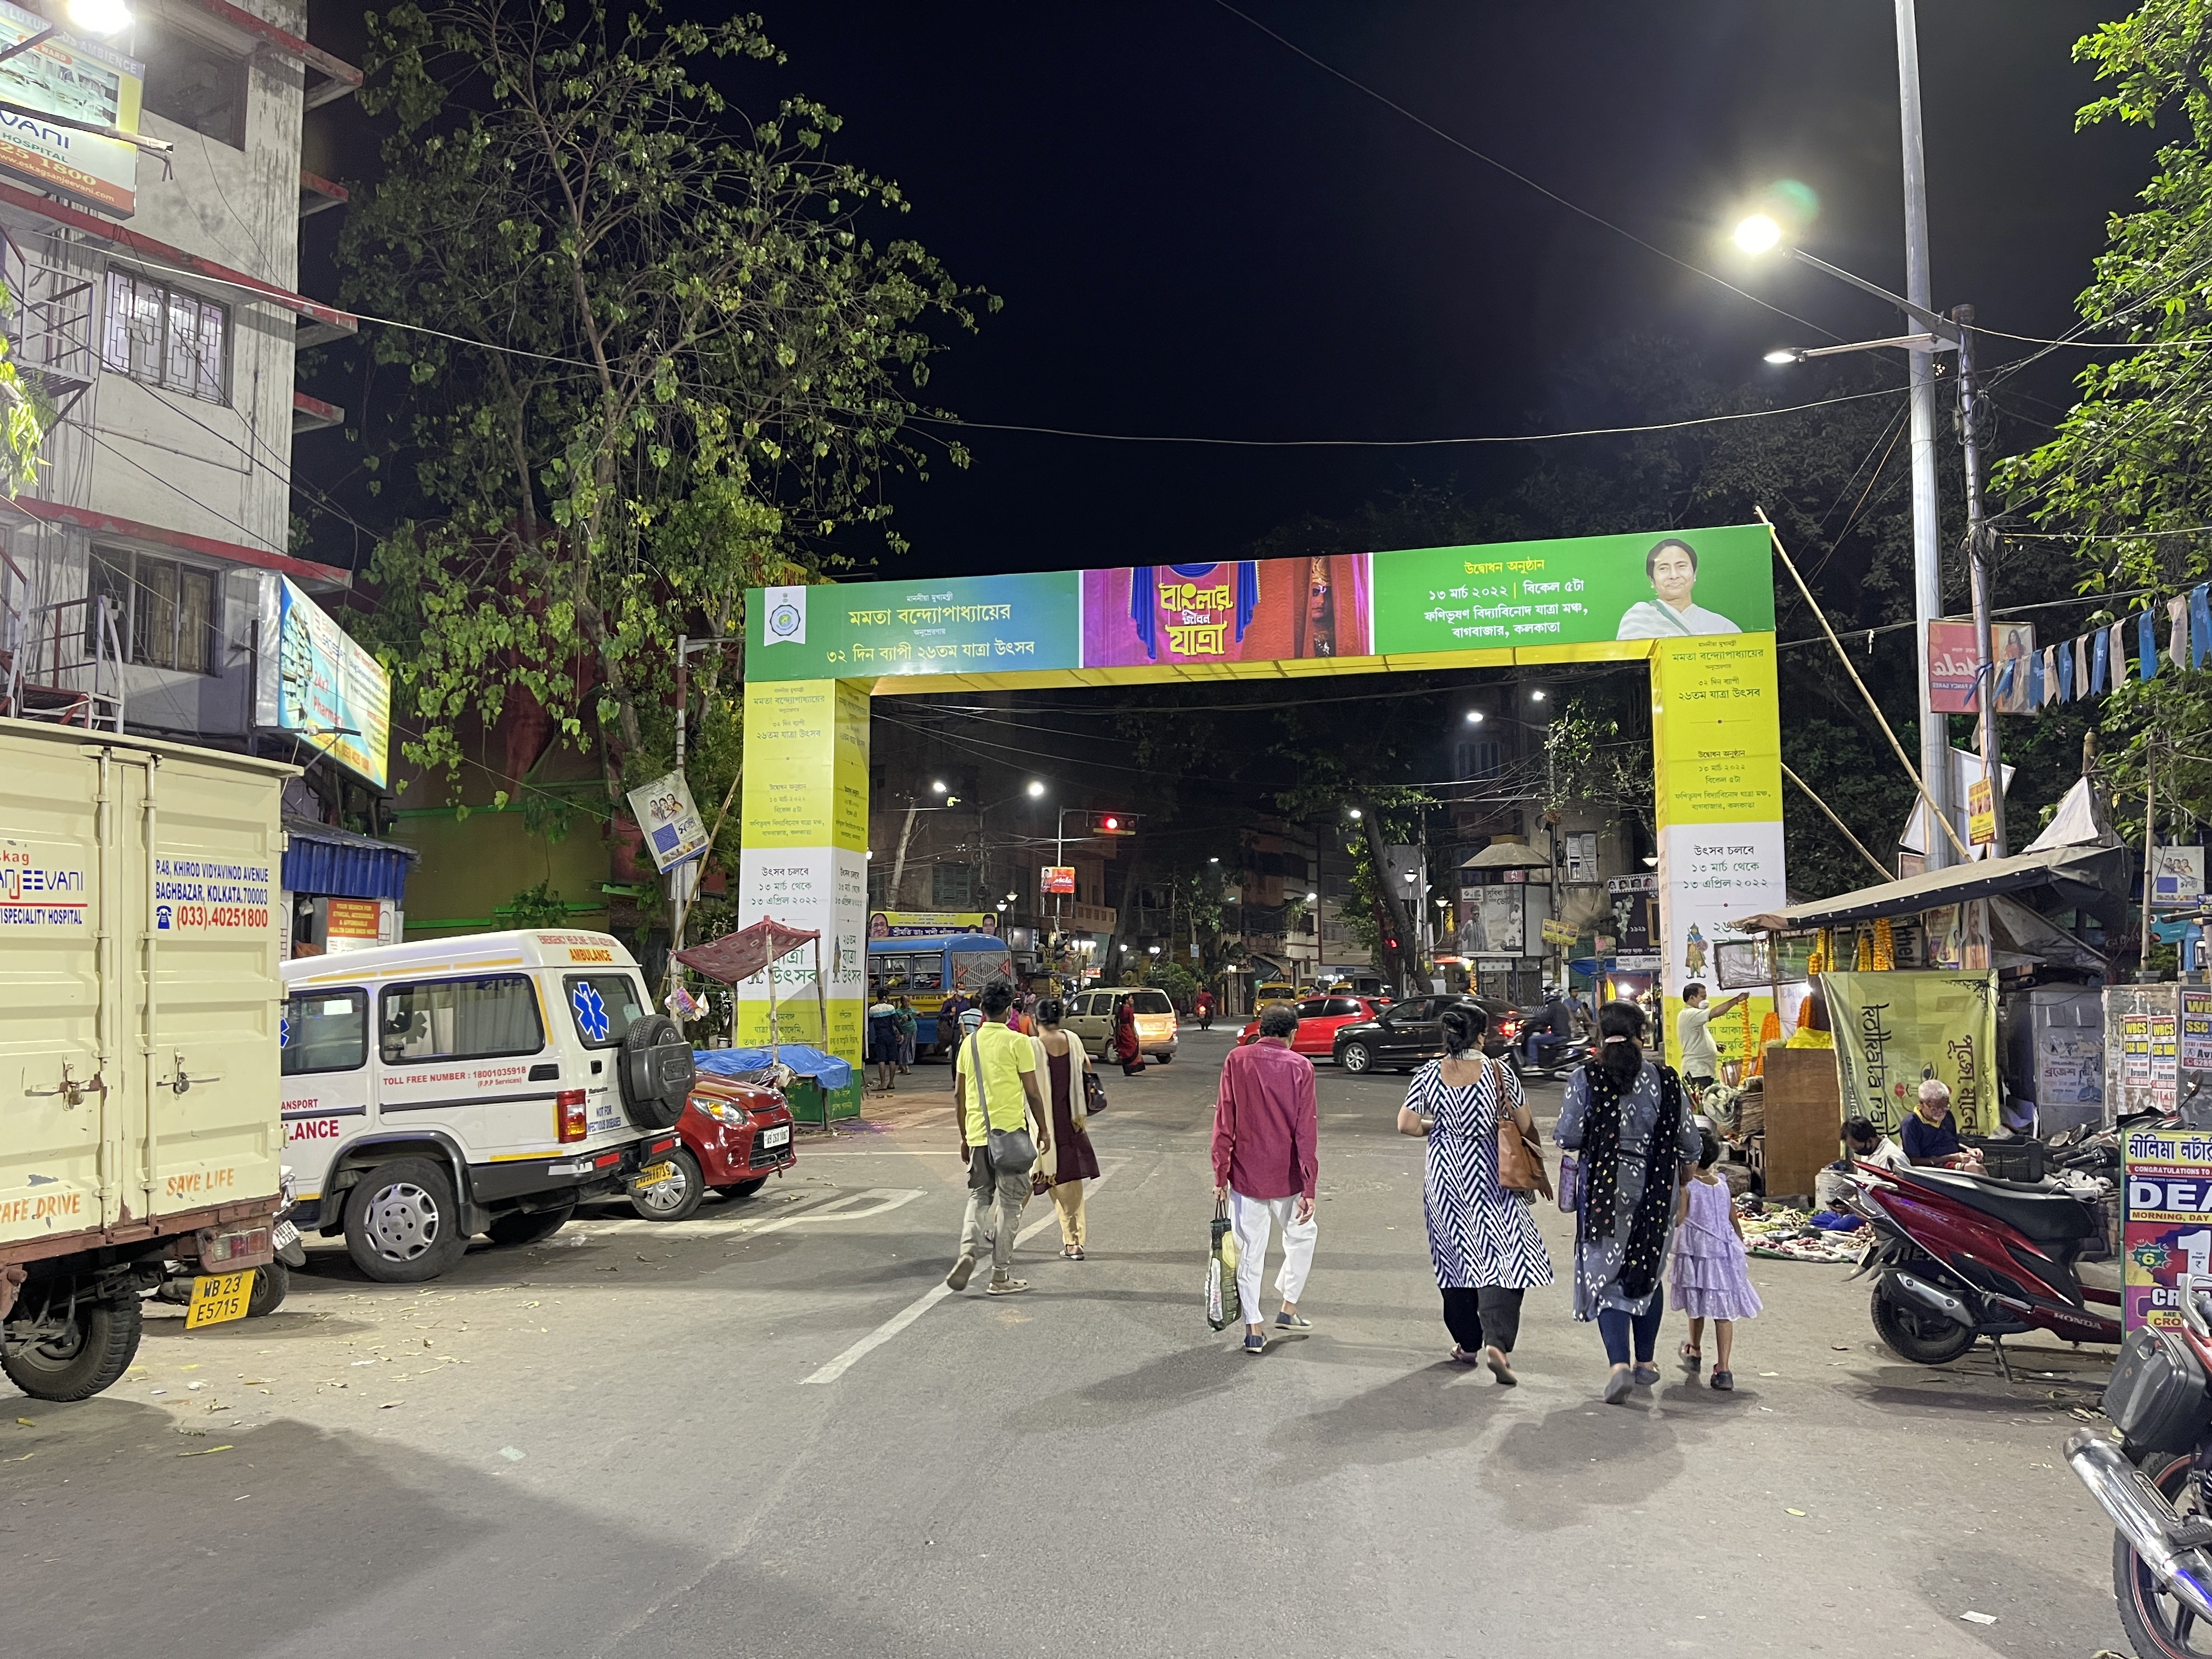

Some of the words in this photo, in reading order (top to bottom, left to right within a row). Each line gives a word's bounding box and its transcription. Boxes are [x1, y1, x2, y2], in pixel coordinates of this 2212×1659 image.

[1459, 555, 1505, 577] উদ্বোধন
[1503, 552, 1548, 578] অনুষ্ঠান
[840, 606, 896, 629] মমতা
[902, 588, 933, 604] মাননীয়া
[929, 590, 957, 606] মুখ্যমন্ত্রী
[894, 602, 1013, 625] বন্দ্যোপাধ্যায়ের
[1176, 602, 1212, 629] জীবন
[1156, 578, 1239, 616] বাংলার
[1420, 603, 1474, 627] ফণিভূষণ
[1424, 582, 1473, 607] ১৩মার্চ
[1470, 580, 1511, 603] ২০২২
[1467, 600, 1534, 621] বিদ্যাবিনোদ
[1516, 573, 1562, 598] বিকেল
[1532, 599, 1564, 618] যাত্রা
[1560, 599, 1588, 616] মঞ্চ,
[1561, 571, 1588, 595] ৫টা
[823, 646, 849, 666] ৩২
[846, 639, 879, 666] দিন
[874, 638, 913, 663] ব্যাপী
[910, 623, 949, 639] অনুপ্রেরণায়
[916, 641, 959, 663] ২৬তম
[957, 639, 994, 659] যাত্রা
[990, 633, 1038, 659] উৎসব
[1164, 617, 1230, 659] যাত্রা
[1448, 619, 1511, 641] বাগবাজার,
[1508, 618, 1564, 639] কলকাতা
[1669, 649, 1700, 666] মমতা
[1695, 637, 1720, 652] মাননীয়া
[1701, 659, 1734, 675] অনুপ্রেরণায়
[1697, 647, 1768, 664] বন্দ্যোপাধ্যায়ের
[1694, 673, 1725, 690] ৩২দিন
[1720, 670, 1746, 690] ব্যাপী
[749, 691, 777, 708] মমতা
[772, 691, 830, 706] বন্দ্যোপাধ্যায়ের
[1673, 687, 1708, 704] ২৬তম
[1703, 686, 1731, 703] যাত্রা
[1729, 683, 1764, 700] উৎসব
[769, 714, 808, 730] ৩২ দিন ব্যাপী
[754, 729, 781, 743] ২৬তম
[778, 727, 799, 742] যাত্রা
[795, 725, 824, 743] উৎসব
[1693, 745, 1727, 764] উদ্বোধন
[1719, 744, 1749, 762] অনুষ্ঠান
[765, 778, 791, 793] উদ্বোধন
[785, 781, 807, 793] অনুষ্ঠান
[1672, 783, 1705, 804] ফণিভূষণ
[1692, 761, 1724, 781] ১৩মার্চ
[1701, 770, 1729, 789] বিকেল
[1700, 786, 1741, 803] বিদ্যাবিনোদ
[1727, 775, 1743, 786] ৫টা
[1722, 759, 1749, 775] ২০২২
[1737, 784, 1774, 802] যাত্রা মঞ্চ,
[1690, 799, 1729, 814] বাগবাজার,
[1723, 798, 1763, 811] কলকাতা
[1690, 840, 1727, 860] উৎসব
[1724, 839, 1760, 859] চলবে
[151, 854, 173, 878] P.48
[154, 878, 206, 904] BAGHBAZAR,
[170, 854, 204, 881] KHIROD
[200, 861, 246, 883] VIDYAVINOD
[204, 882, 244, 905] KOLKATA.
[240, 861, 272, 884] AVENUE
[241, 885, 271, 907] 700003
[750, 896, 768, 910] ১৩
[756, 863, 788, 881] উৎসব
[757, 877, 792, 895] ১৩মার্চ
[764, 889, 793, 909] এপ্রিল
[785, 864, 811, 878] চলবে
[787, 878, 814, 894] থেকে
[789, 895, 820, 908] ২০২২
[836, 863, 863, 884] উৎসব চলবে
[1679, 875, 1702, 891] ১৩
[1689, 860, 1731, 878] ১৩মার্চ
[1699, 868, 1735, 890] এপ্রিল
[1729, 859, 1762, 875] থেকে
[1734, 873, 1771, 894] ২০২২
[2, 902, 48, 927] SPECIALITY
[44, 904, 87, 926] HOSPITAL
[175, 901, 272, 932] (033).40251800
[840, 932, 860, 946] ২৬তম
[888, 923, 917, 941] শ্রীমতি
[909, 928, 926, 941] ডাঃ
[568, 945, 614, 964] AMBULANCE
[838, 945, 860, 966] যাত্রা
[838, 962, 865, 988] উৎসব
[752, 1022, 773, 1039] যাত্রা
[776, 1018, 805, 1036] কাদেমি,
[736, 1038, 761, 1051] তথ্য
[1858, 1000, 1896, 1092] kolkata
[1943, 1031, 1978, 1087] পূজো
[377, 1073, 407, 1089] TOLL
[402, 1070, 430, 1087] FREE
[427, 1070, 469, 1086] NUMBER
[1953, 1085, 1982, 1136] মানে
[284, 1114, 342, 1143] LANCE
[2124, 1128, 2179, 1163] নীলিমা
[161, 1166, 205, 1202] SAVE
[201, 1166, 237, 1192] LIFE
[2130, 1163, 2203, 1177] CONGRATULATIONS
[2198, 1166, 2211, 1179] TO
[32, 1191, 84, 1218] DRIVE
[2130, 1207, 2186, 1221] MORNING,
[2186, 1207, 2211, 1226] DAY